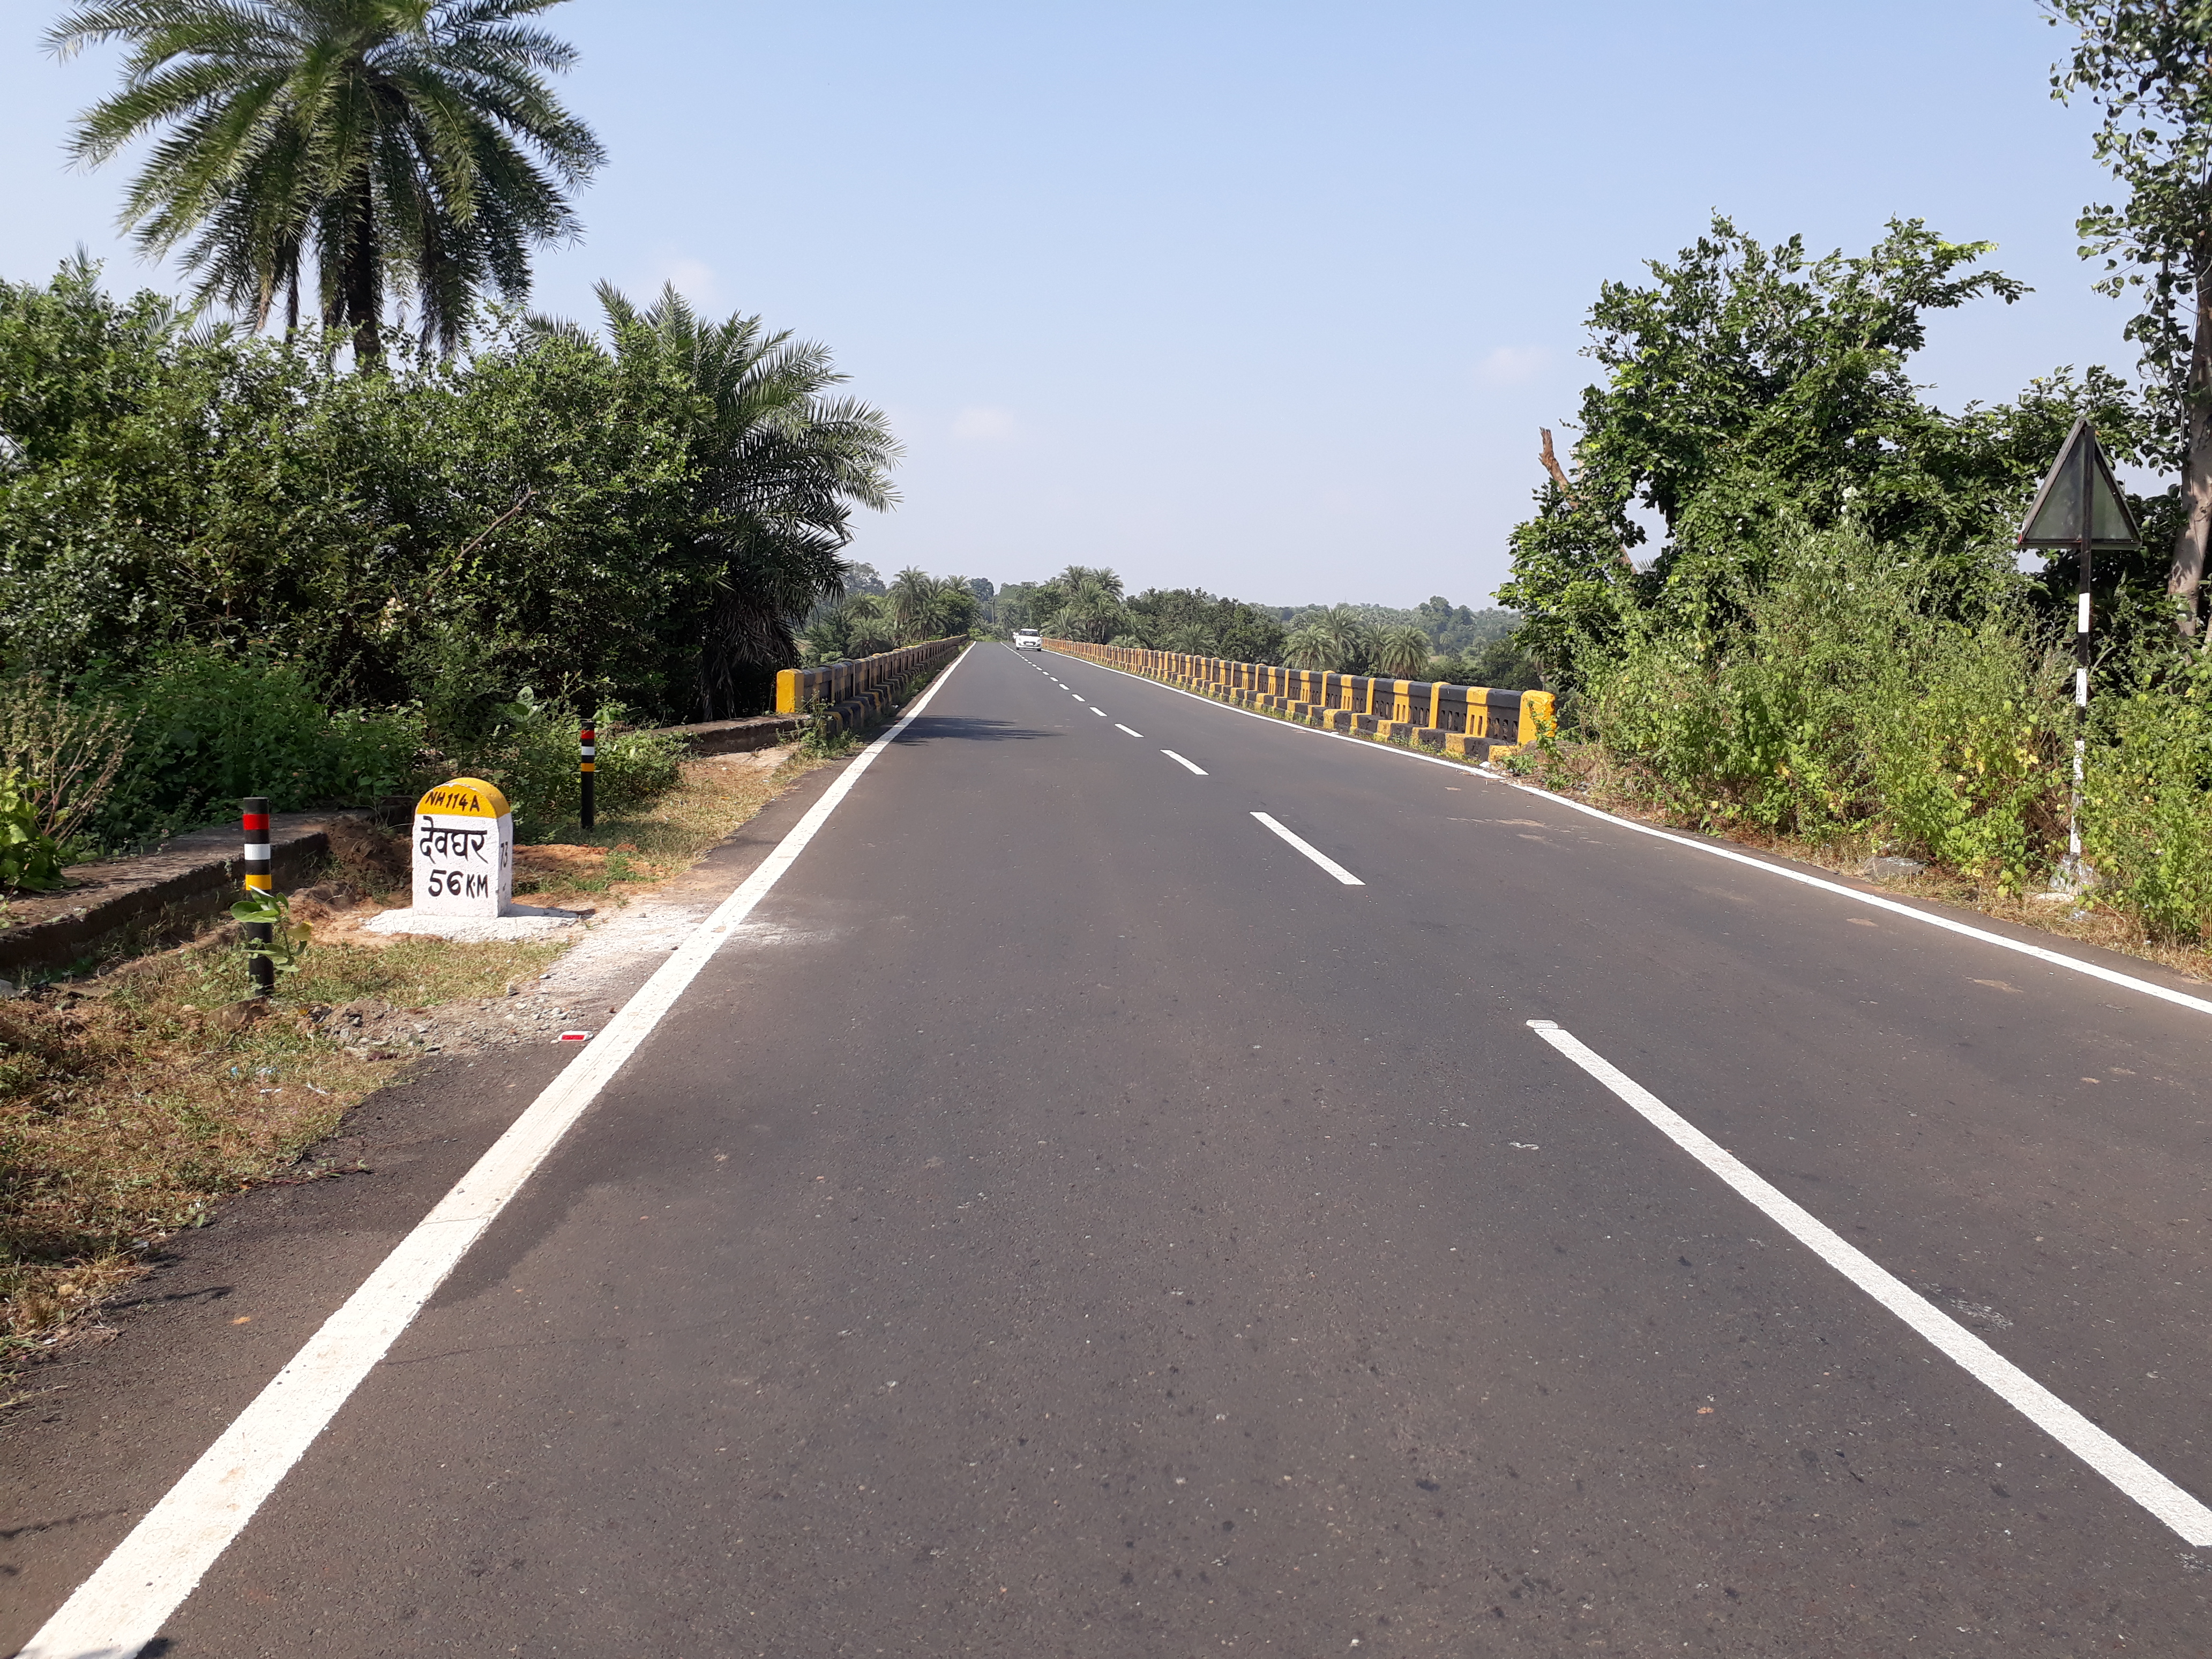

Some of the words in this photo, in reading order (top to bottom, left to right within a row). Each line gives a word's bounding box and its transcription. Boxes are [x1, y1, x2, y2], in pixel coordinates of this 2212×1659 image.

[422, 789, 481, 816] NH114A
[417, 811, 491, 866] देवघर
[426, 868, 491, 900] 56K.M